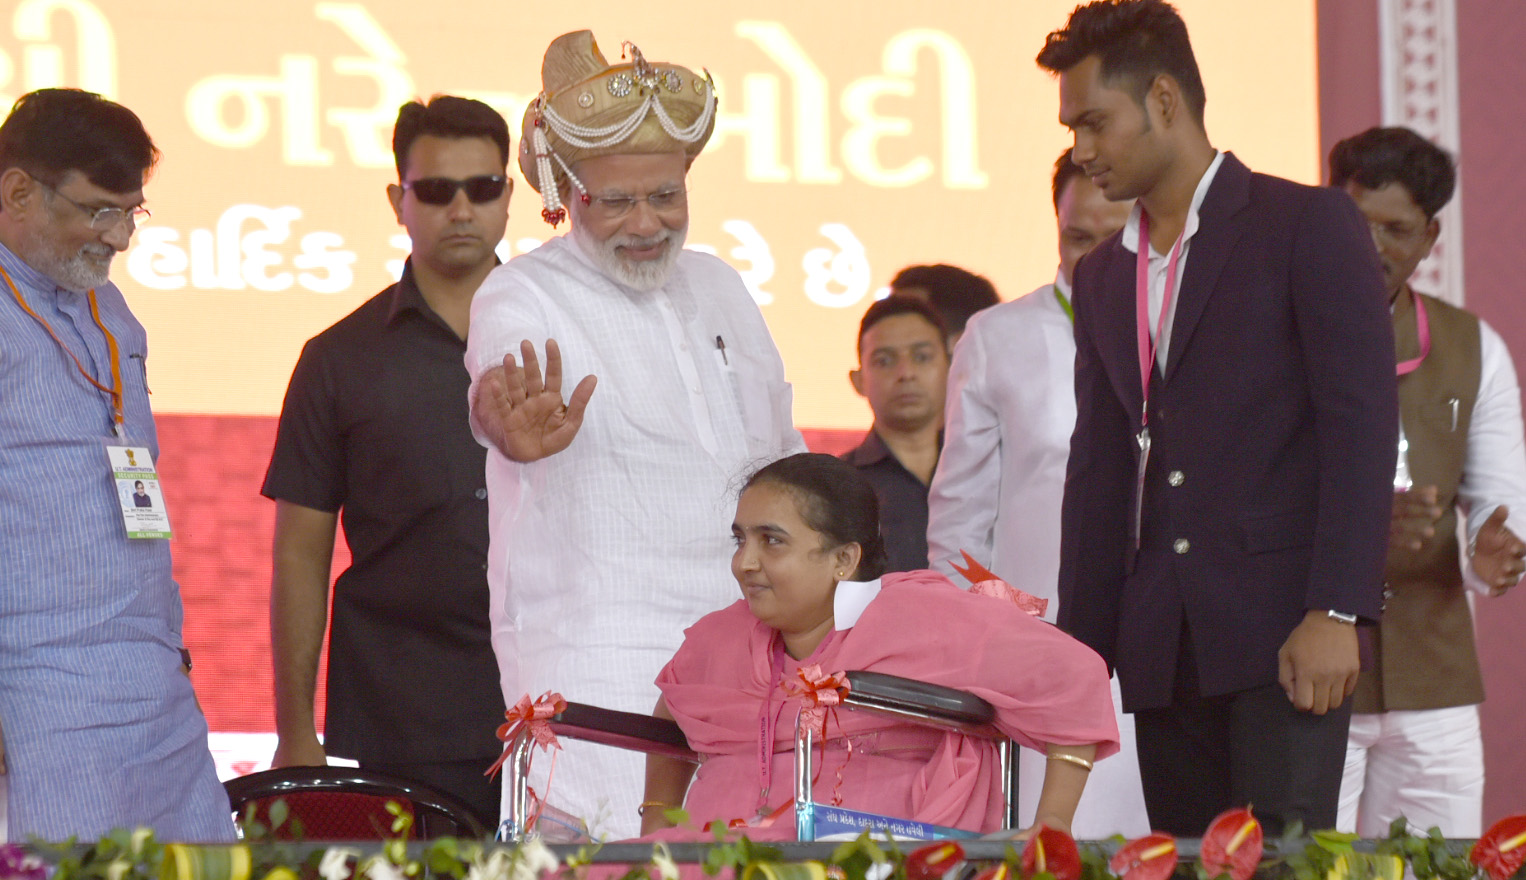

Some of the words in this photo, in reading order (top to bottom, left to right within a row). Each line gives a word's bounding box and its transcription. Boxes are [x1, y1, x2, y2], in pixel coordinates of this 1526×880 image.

[172, 0, 427, 173] નરે
[718, 4, 998, 213] મોદી
[122, 195, 374, 301] હાર્દિક
[783, 213, 889, 314] છે